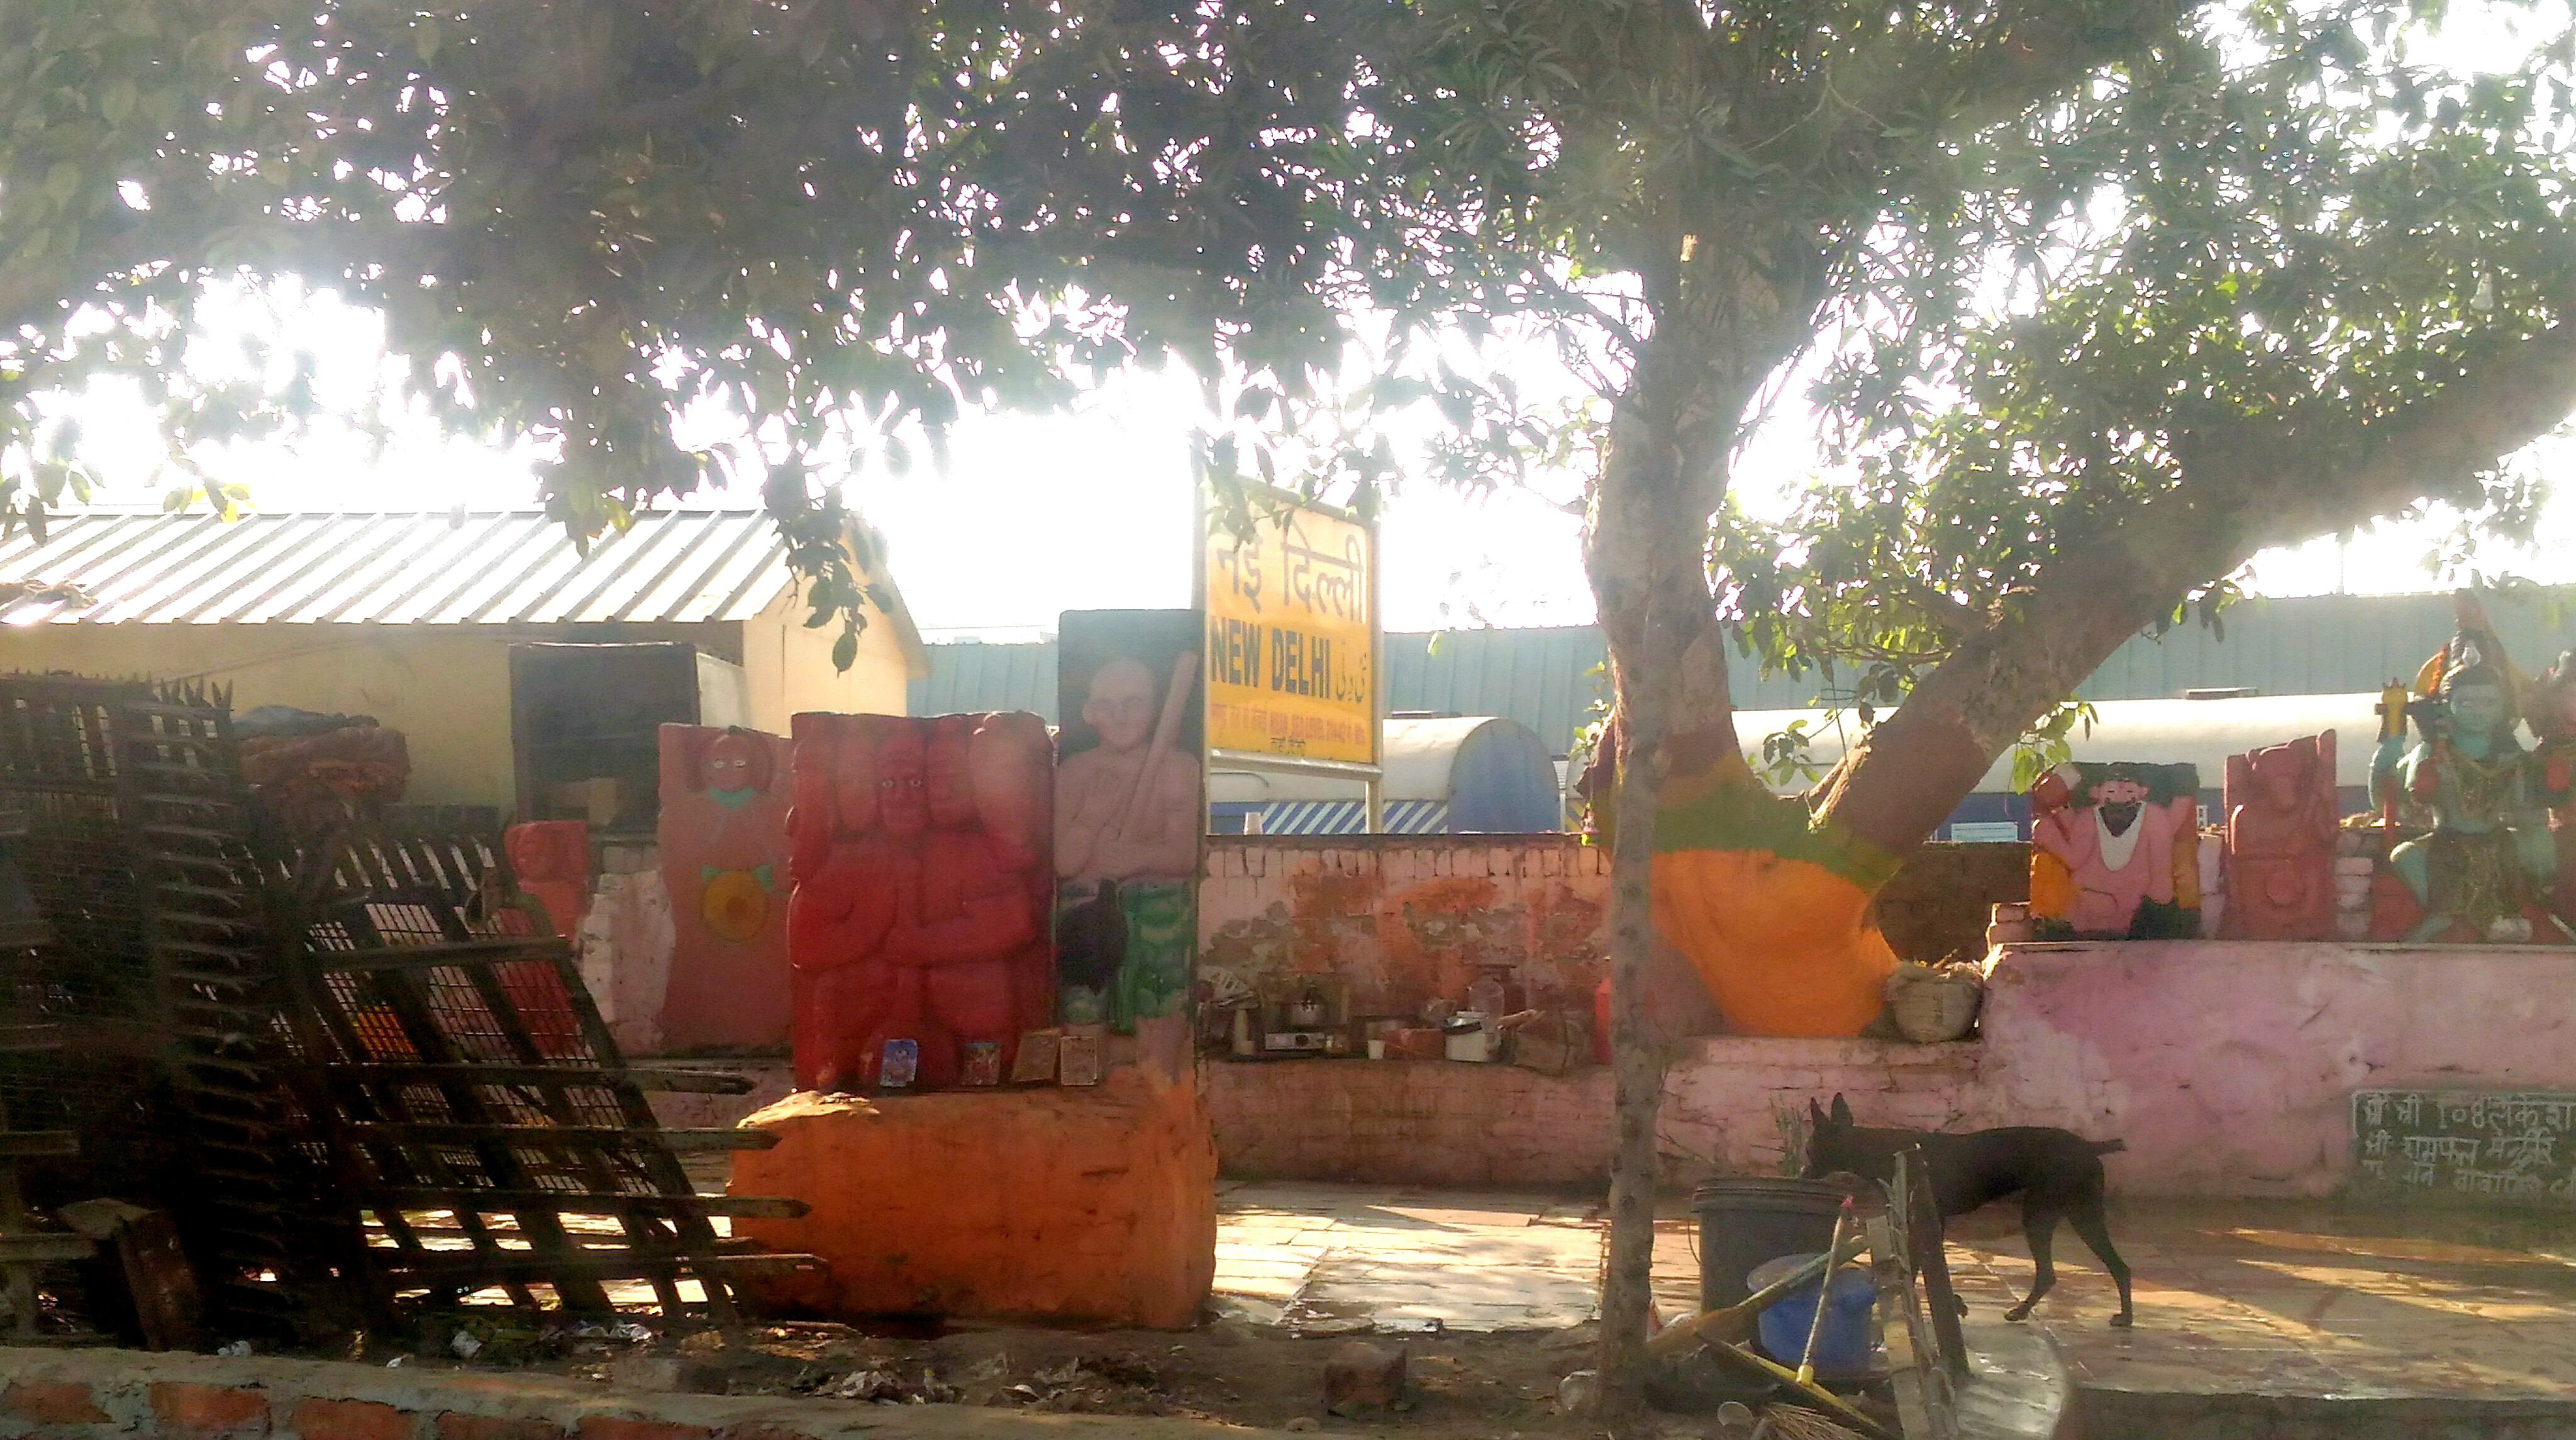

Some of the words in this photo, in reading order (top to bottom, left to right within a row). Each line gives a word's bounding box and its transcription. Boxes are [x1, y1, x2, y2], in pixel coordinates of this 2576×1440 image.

[1216, 525, 1263, 616] नई
[1277, 515, 1364, 625] दिल्ली
[1209, 614, 1264, 690] NEW
[1270, 627, 1331, 699] DELHI
[2361, 1093, 2387, 1127] श्री
[2392, 1091, 2425, 1129] श्री
[2436, 1097, 2486, 1131] 108
[2486, 1091, 2575, 1135] लकेश
[2362, 1127, 2392, 1160] श्री
[2402, 1160, 2440, 1187] वन
[2401, 1136, 2480, 1168] रामफल
[2484, 1124, 2558, 1168] मन्र्दीर